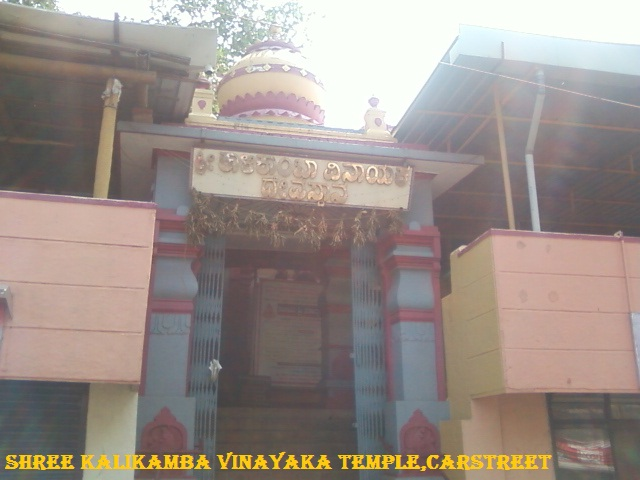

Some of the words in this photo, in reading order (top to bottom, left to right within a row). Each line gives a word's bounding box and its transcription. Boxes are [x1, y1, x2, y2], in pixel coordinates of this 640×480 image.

[186, 145, 325, 185] ಶ್ರೀ ಕಾಳಿಕಾಂಬಾ
[314, 154, 412, 191] ಏನಾಯಕ
[256, 171, 351, 215] ದೇವನ್ನವ
[0, 444, 79, 479] SHREE
[74, 448, 218, 474] KALIKAMBA
[214, 444, 336, 475] VINAYAKA
[333, 447, 422, 476] TEMPLE
[421, 446, 552, 475] CARSTREET